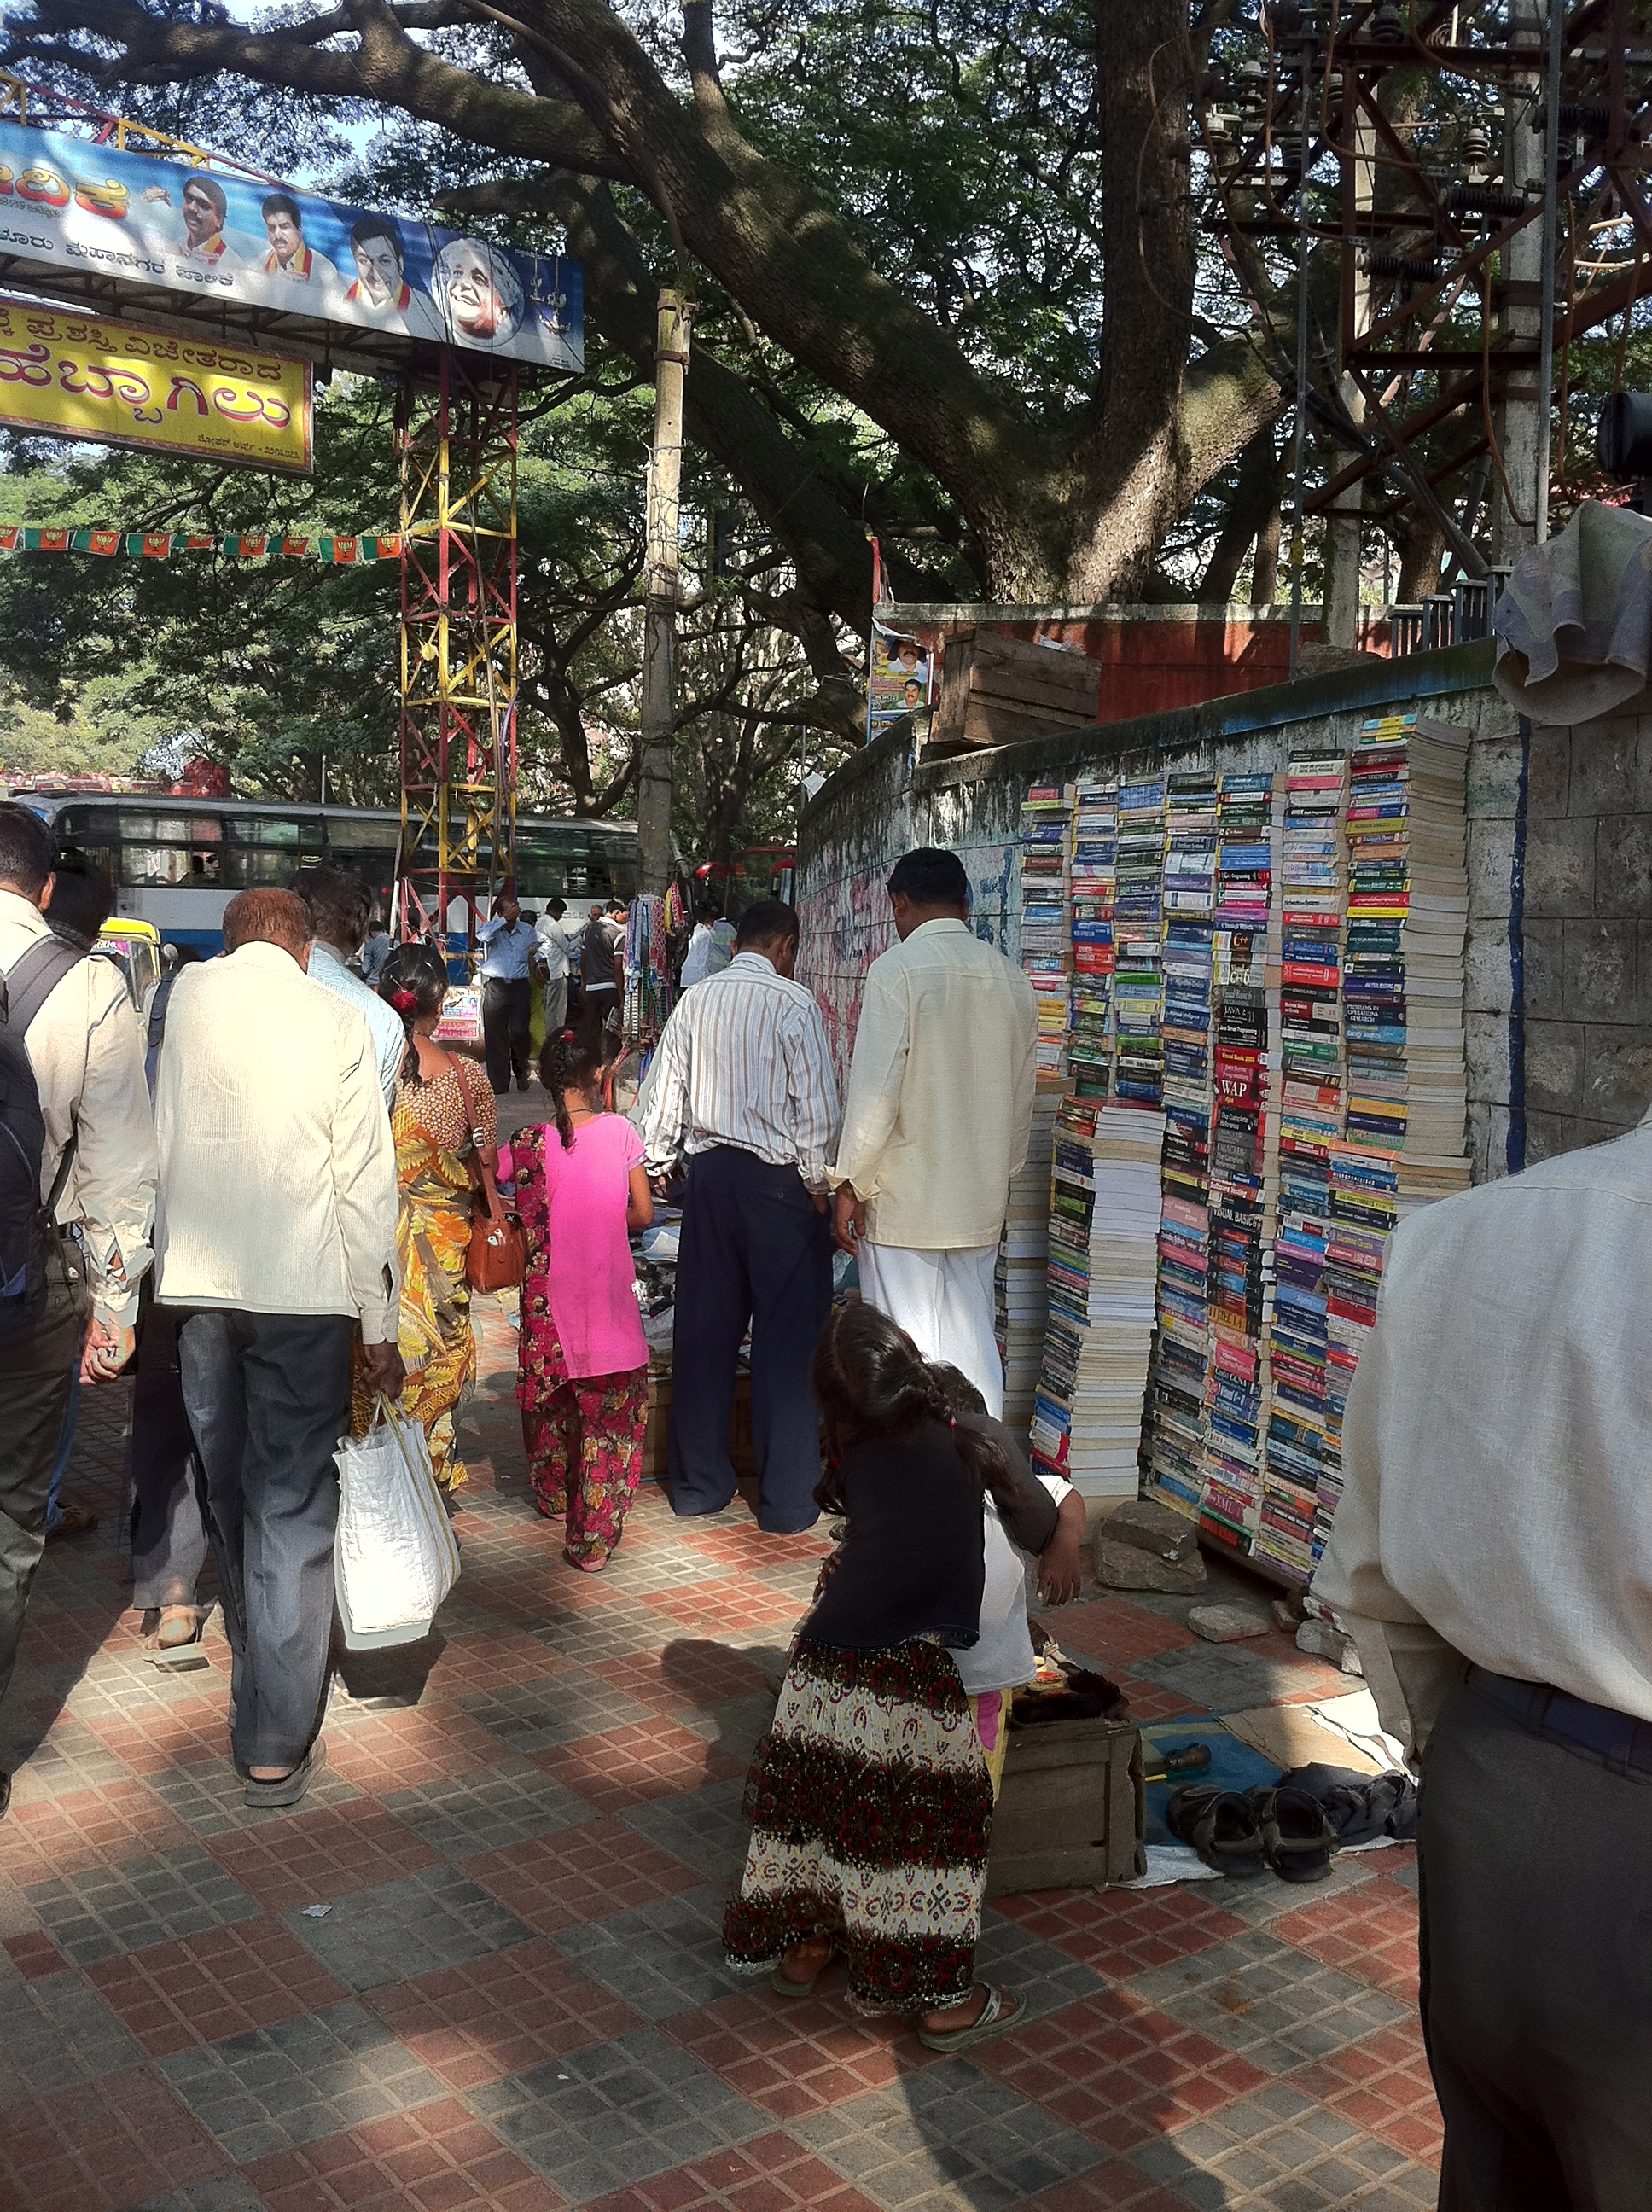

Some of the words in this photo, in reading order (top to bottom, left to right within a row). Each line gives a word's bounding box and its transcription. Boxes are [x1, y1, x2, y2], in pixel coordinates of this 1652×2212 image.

[1, 220, 55, 254] ಳೂರು
[63, 239, 172, 279] ಮಹಾನಗರ
[172, 261, 238, 292] ಪಾೞಕ
[23, 312, 124, 358] ಪ್ರಶಸ್ತಿ
[120, 329, 284, 383] ವಿಜೇತರಾದ
[0, 339, 294, 431] ಹಬ್ಬಾಗಿಲು